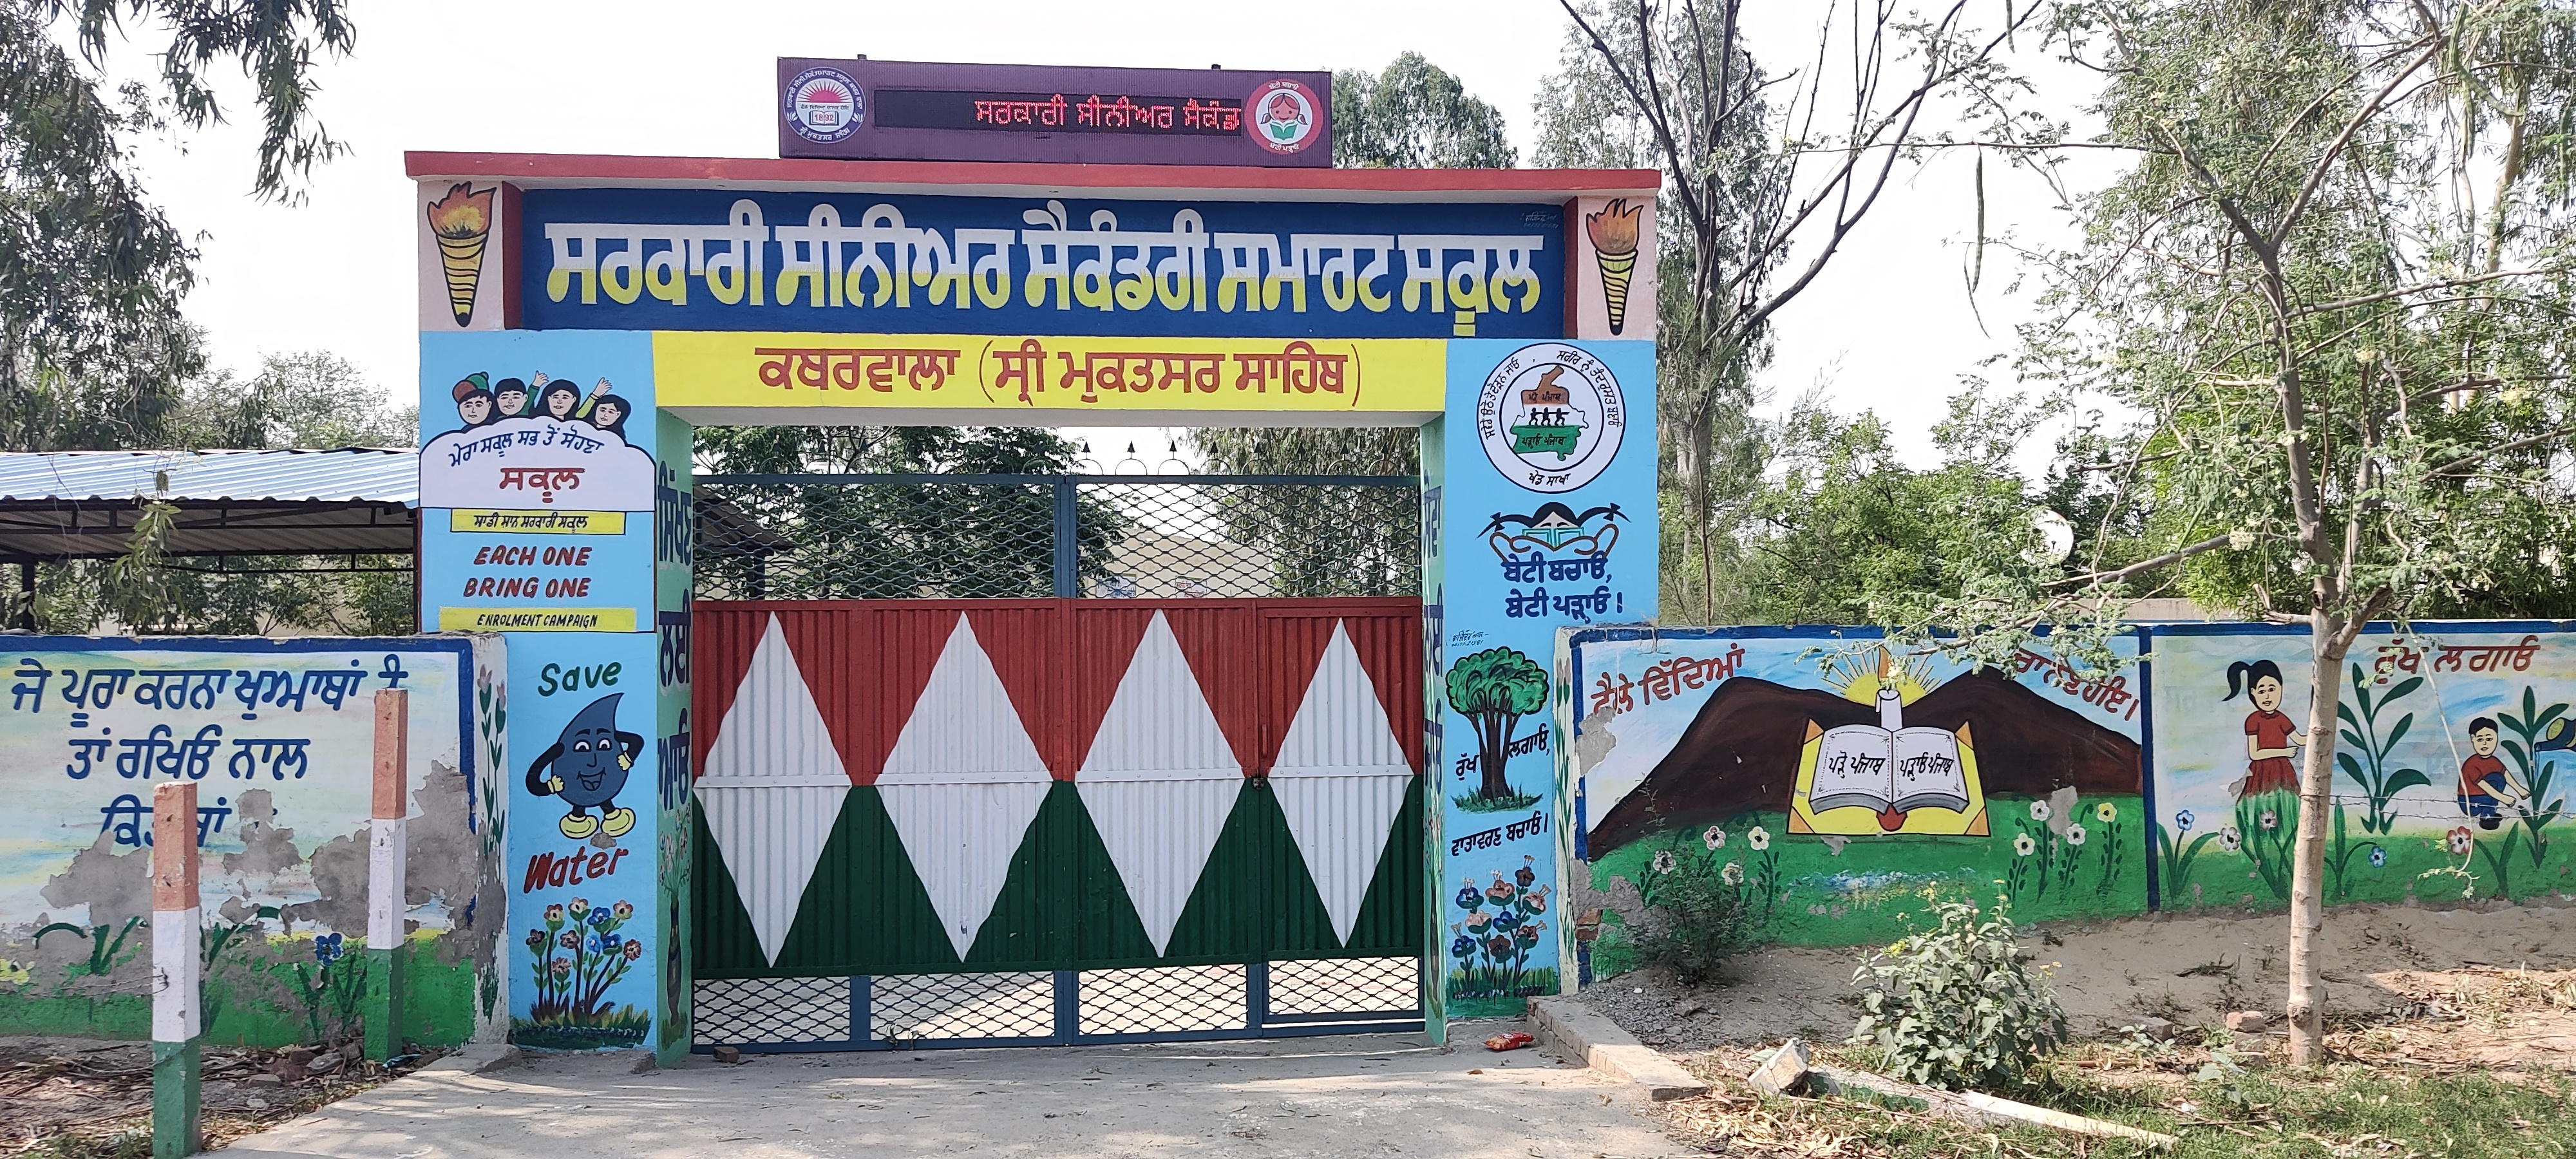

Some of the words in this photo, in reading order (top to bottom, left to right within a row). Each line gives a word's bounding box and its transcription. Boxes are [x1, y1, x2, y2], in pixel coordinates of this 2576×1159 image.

[965, 91, 1072, 131] ਸਰਕਾਰੀ
[1072, 91, 1179, 135] ਸੀਨੀਅਰ
[1178, 96, 1244, 135] ਸੈਕੰਡ
[536, 191, 773, 316] ਸਰਕਾਰੀ
[771, 196, 1019, 320] ਸੀਨੀਅਰ
[1016, 196, 1214, 325] ਸੈਕੰਡਰੀ
[1211, 221, 1396, 323] ਸਮਾਰਟ
[1396, 230, 1550, 337] ਸਕੂਲ
[443, 433, 481, 468] ਮੇਰਾ
[478, 426, 516, 461] ਸਕੂਲ
[514, 426, 543, 449] ਸਭ
[539, 420, 562, 449] उॆਂ
[557, 419, 609, 462] ਸੋਹਣ
[746, 342, 965, 403] ਕਥਰਵਾਲਾ
[982, 335, 1052, 409] ਸ੍ਰੀ
[1049, 343, 1229, 409] ਮੁਕਤਸਰ
[1230, 336, 1356, 400] ਸਾਹਿਬ
[1476, 396, 1499, 417] ਉਠੇ
[1479, 415, 1498, 442] ਸਵੇਰੇ
[1481, 386, 1501, 402] ਤੇ
[1484, 365, 1509, 397] ਦੋੜਨ
[1499, 353, 1526, 379] ਜਾਓ
[1519, 431, 1545, 451] ਪੜਾਓ
[1542, 431, 1567, 448] ਪੰਜਾਬ
[1553, 348, 1586, 369] ਸਰੀਰ
[1576, 355, 1598, 374] ਨੈ
[1585, 363, 1622, 407] ਤੰਦਰੁਸਤ
[1604, 404, 1625, 431] ਬਣਾਓ
[495, 461, 591, 507] ਸਕੂਲ
[1526, 466, 1548, 489] ਖੇਡ
[1544, 469, 1573, 491] ਸਾਖਾ
[656, 455, 698, 575] ਸਿੱਖਣ
[3, 652, 58, 721] ਜੇ
[53, 659, 140, 733] ਪੂਰਾ
[129, 662, 234, 721] ਕਰਨਾ
[229, 655, 372, 725] ਖੁਆਬਾਂ
[459, 569, 541, 604] BRING
[466, 538, 542, 570] EACH
[471, 608, 545, 630] 5018114517
[540, 572, 596, 603] ONE
[539, 541, 598, 570] ONE
[538, 610, 602, 630] CAMPAIGN
[529, 655, 628, 704] Save
[656, 580, 693, 694] ਲਈ
[1498, 547, 1548, 586] ਬੇਟੀ
[1496, 584, 1551, 622] ਬੇਟੀ
[1546, 549, 1610, 583] ਬਚਾਓ
[1549, 581, 1617, 626] ਪੜ੍ਹਾਓ
[1587, 666, 1636, 723] ਲੇ
[1636, 639, 1754, 710] ਵਿੱਦਿਆਂ
[2363, 635, 2434, 688] ਰੁੱਖ
[2426, 631, 2546, 677] ਲਗਾਓ
[55, 721, 119, 786] ਤਾਂ
[105, 715, 231, 785] ਰਖਿੳ
[222, 730, 322, 787] ਨਾਲ
[656, 702, 694, 820] ਆਓ
[1450, 748, 1481, 785] ਰੁੱਥ
[1506, 718, 1553, 765] ਲਗਾਓ
[1823, 747, 1850, 781] ਪੜੋੁ
[1848, 748, 1889, 778] ਪੰਜਾਬ
[1895, 749, 1961, 782] ਪੜ੍ਹਾਓ ਪੰਜਾਬ
[1448, 818, 1505, 859] ਵਾਤਾਵਰਣ
[1503, 807, 1548, 846] ਬਚਾਓ
[517, 840, 634, 901] Water